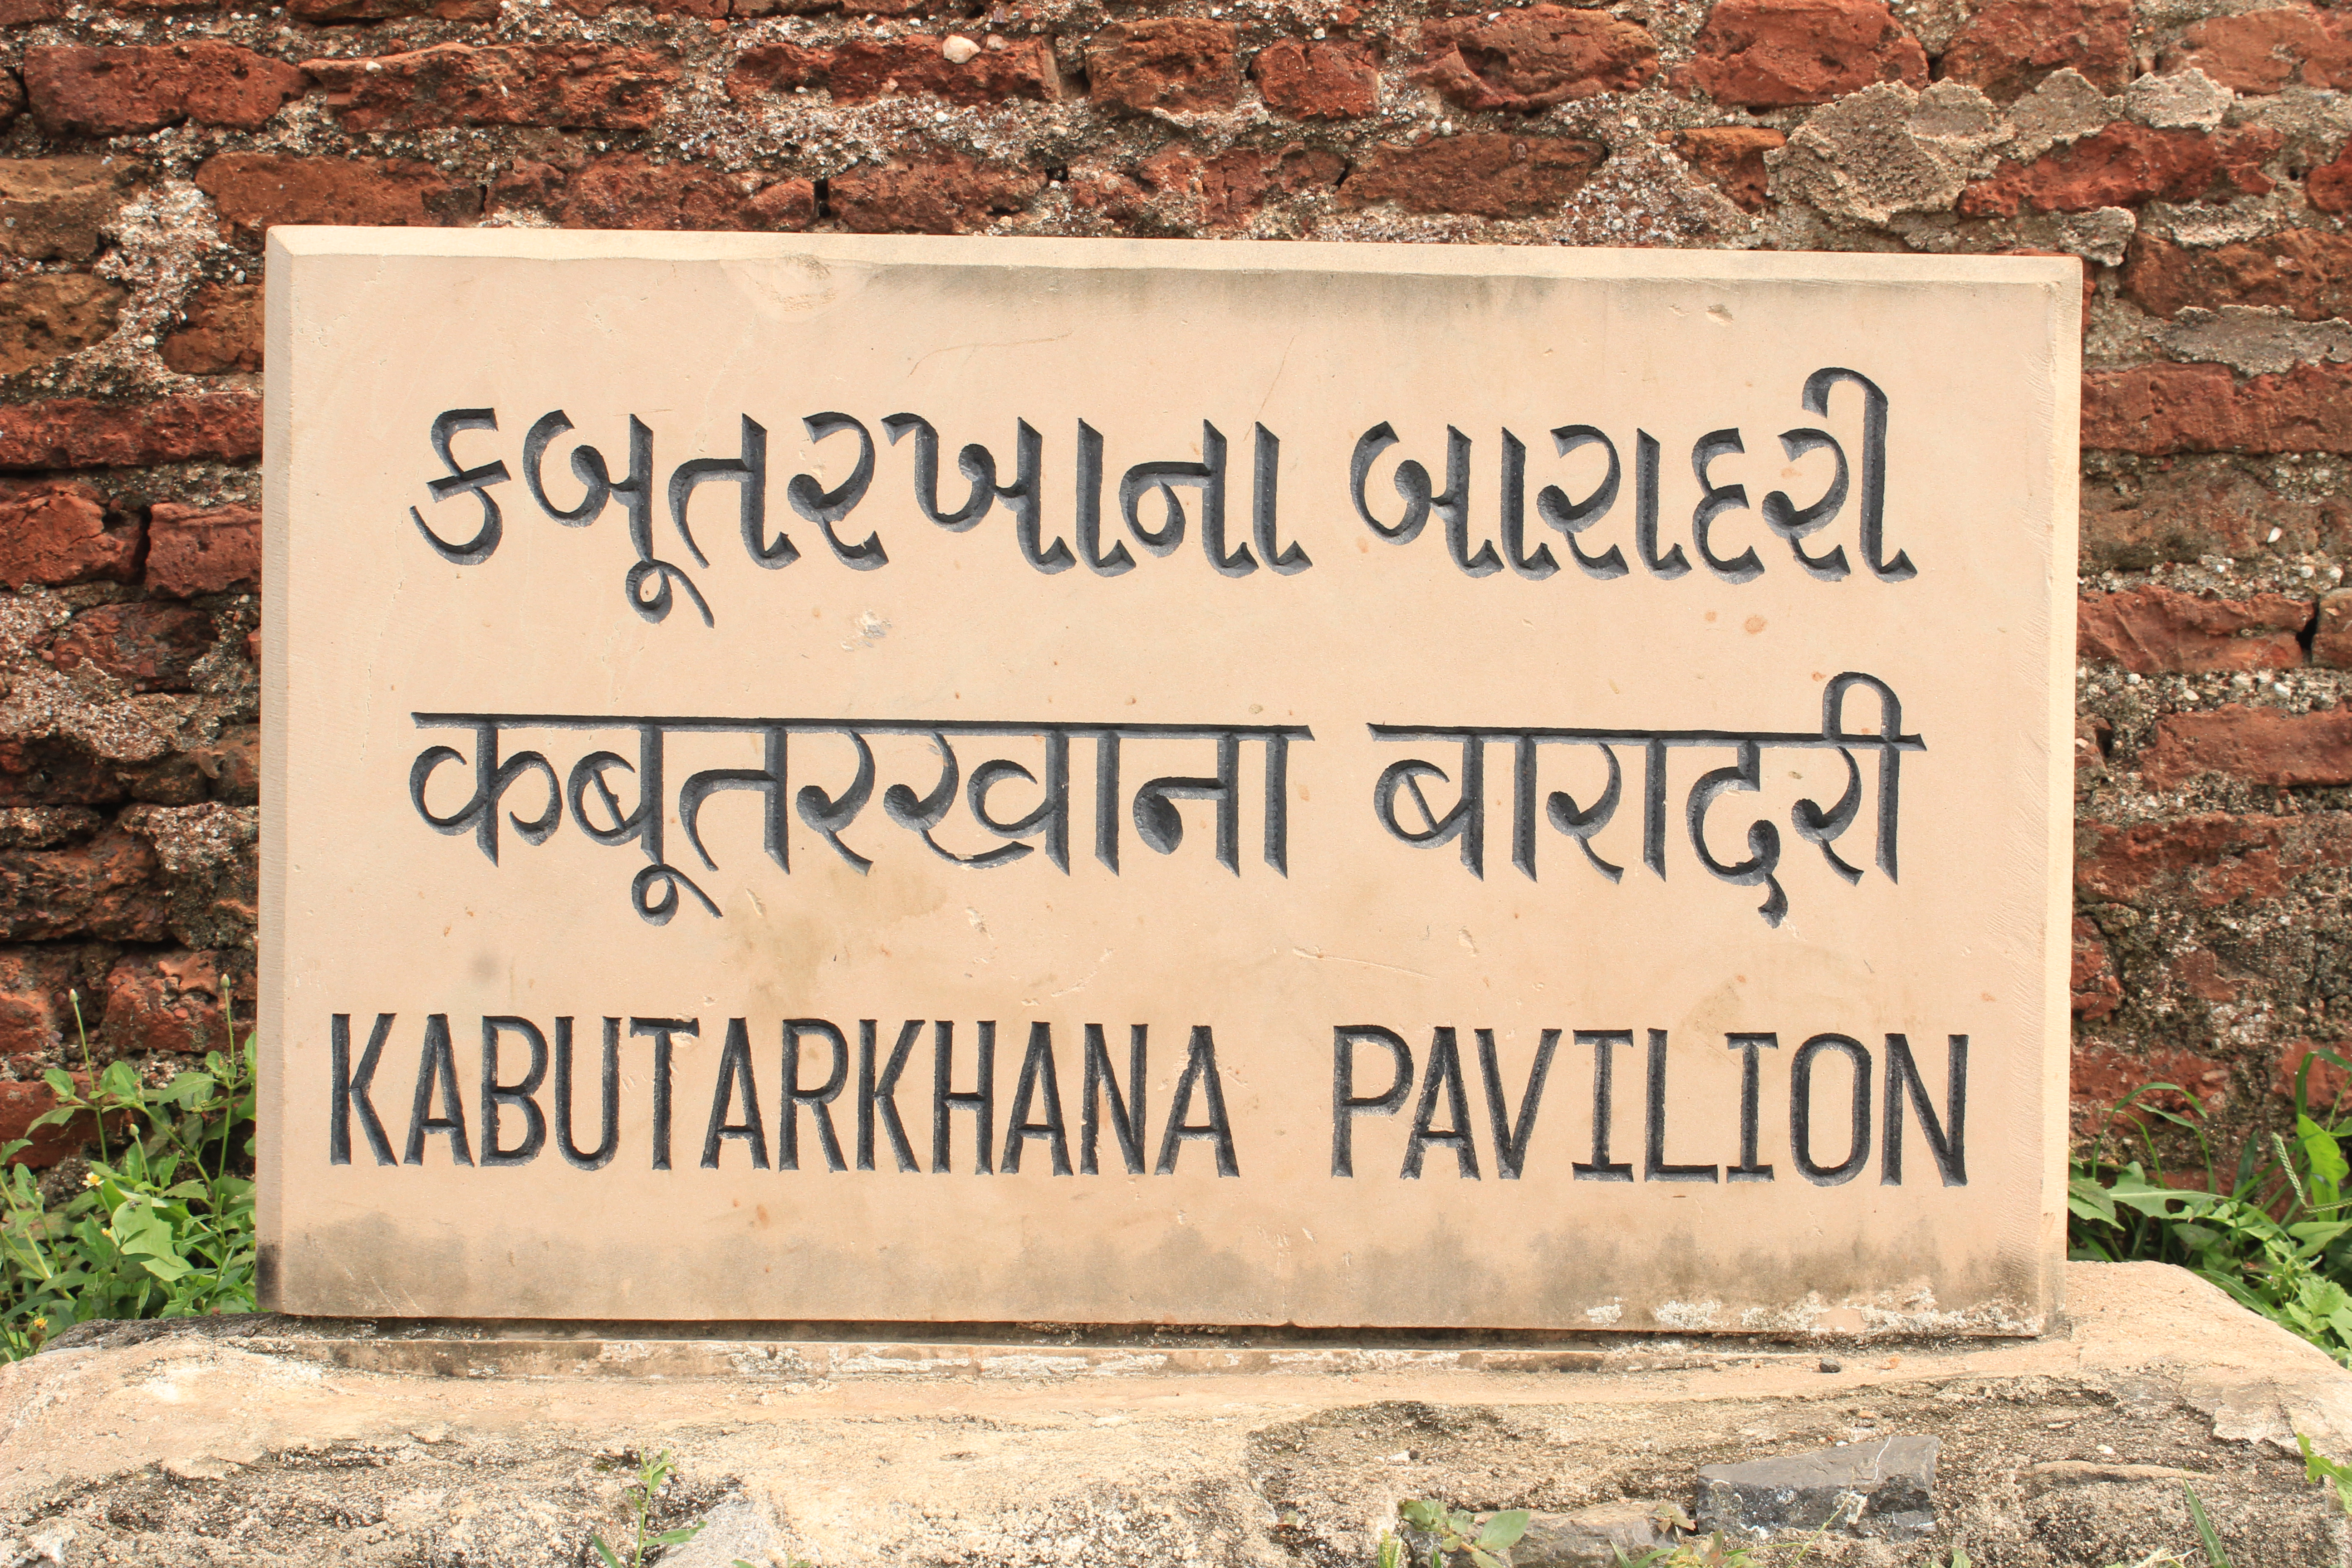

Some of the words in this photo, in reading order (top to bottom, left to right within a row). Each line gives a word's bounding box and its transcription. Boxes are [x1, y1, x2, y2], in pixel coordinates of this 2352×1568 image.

[370, 405, 1327, 652] કબૂતરખાના
[1339, 357, 1945, 610] બારાદરી
[394, 705, 1323, 947] कबूतरखाना
[323, 1007, 1249, 1181] KABUTARKHANA
[1314, 1014, 1980, 1197] PAVILION